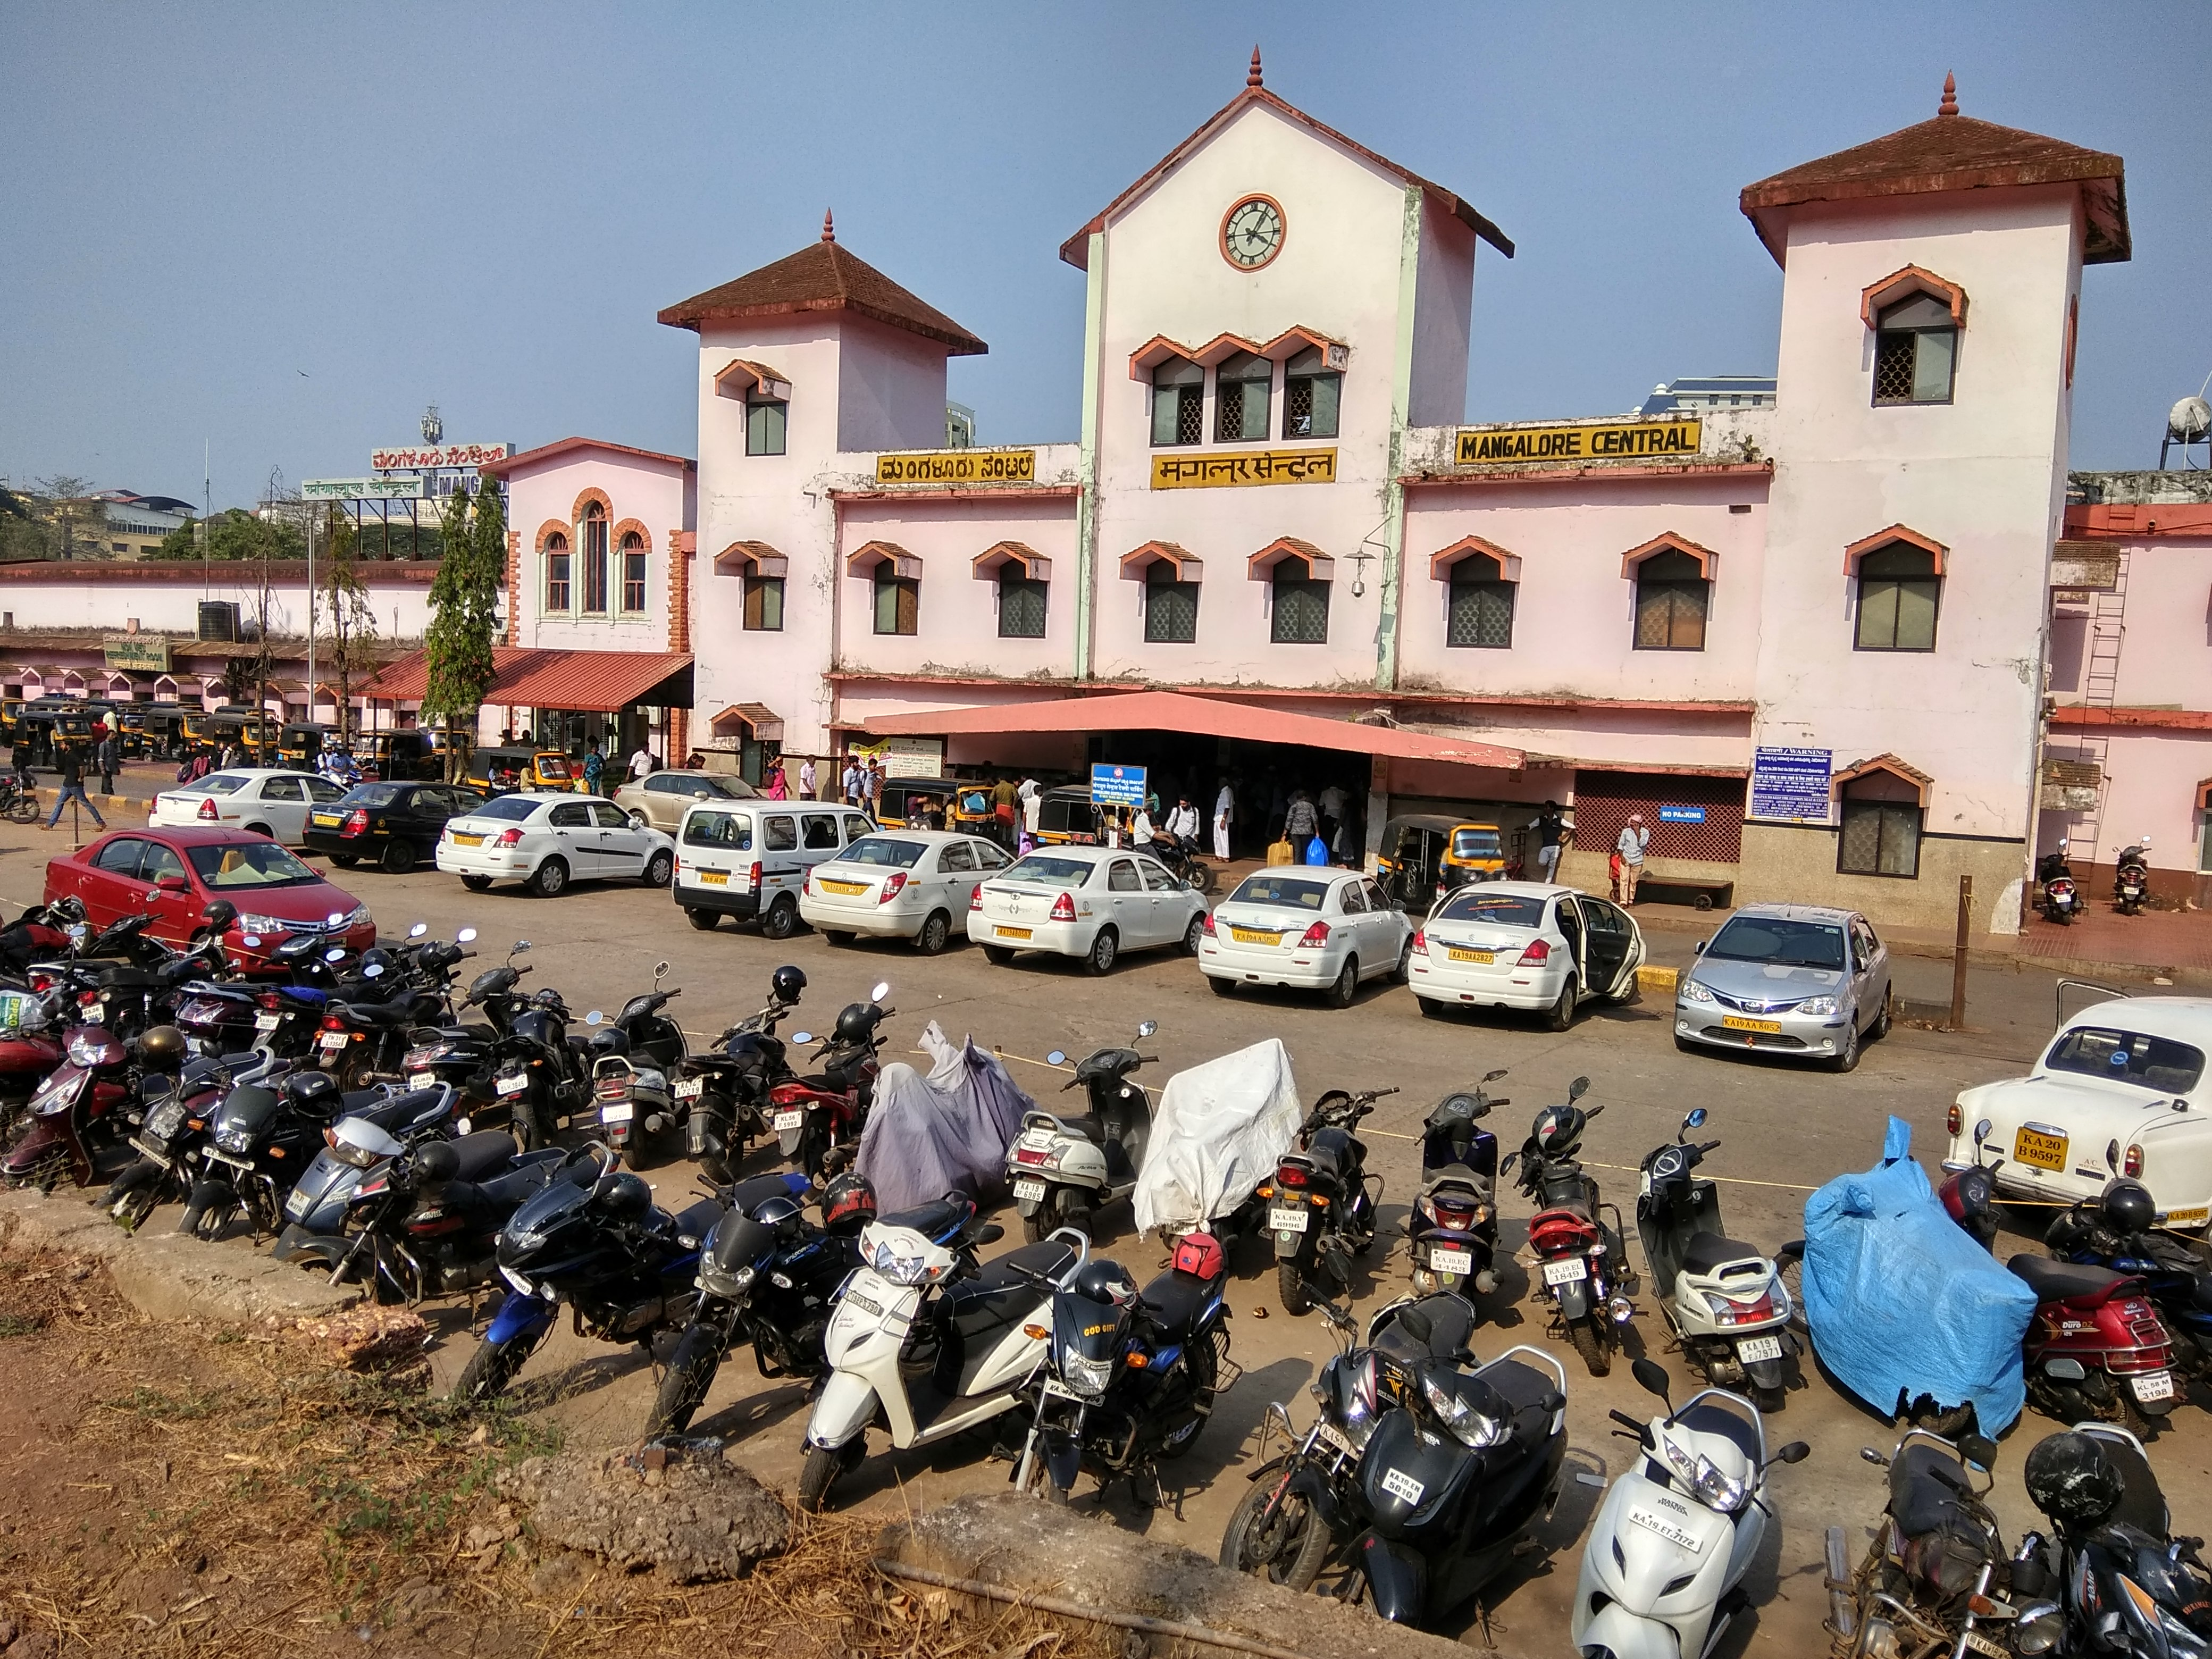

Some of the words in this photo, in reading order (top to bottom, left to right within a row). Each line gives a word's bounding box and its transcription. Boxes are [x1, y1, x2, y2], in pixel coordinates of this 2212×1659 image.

[368, 445, 448, 470] ಮಂಗಳೂರು
[442, 441, 506, 467] ಸೆಂಟ್ರಲ್
[879, 453, 979, 482] ಮಂಗಳೂರು
[977, 444, 1041, 482] ಸೆಂಟ್ರಲ್
[1156, 454, 1255, 485] मंगलुर
[1250, 447, 1337, 482] सेन्ट्रल
[1458, 430, 1584, 460] MANGALORE
[1583, 413, 1706, 462] CENTRAL
[300, 474, 367, 500] मंगलूर
[364, 473, 422, 499] सेन्ट्रल
[129, 656, 158, 673] भोजनालया
[142, 651, 166, 665] ROOM
[1757, 743, 1785, 757] चेतावनी
[1786, 747, 1830, 758] WARNING
[1088, 780, 1108, 792] मंगमूह
[1104, 780, 1120, 792] सेन्ट्रल
[1115, 780, 1133, 792] टेक्सी
[1127, 783, 1146, 794] पार्किग
[1658, 809, 1673, 819] NO
[1670, 810, 1703, 820] PARKING